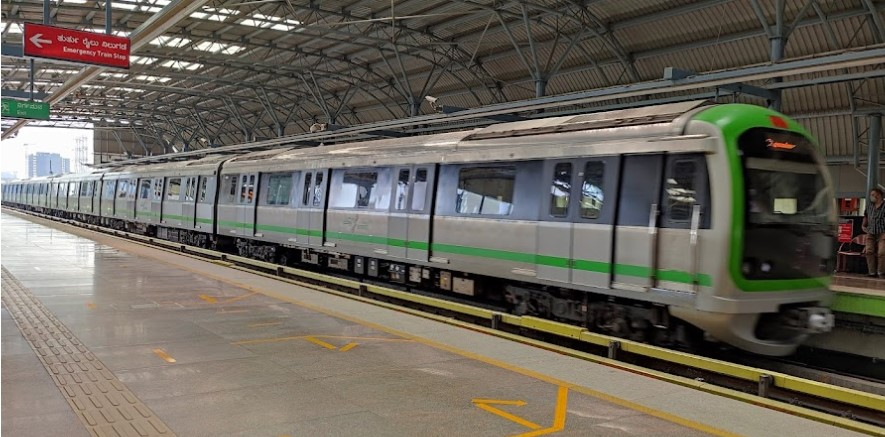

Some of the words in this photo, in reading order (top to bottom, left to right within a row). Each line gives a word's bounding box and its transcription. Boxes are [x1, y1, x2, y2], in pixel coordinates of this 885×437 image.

[60, 41, 100, 59] Emergency
[90, 47, 115, 62] Train
[105, 48, 130, 63] Stop